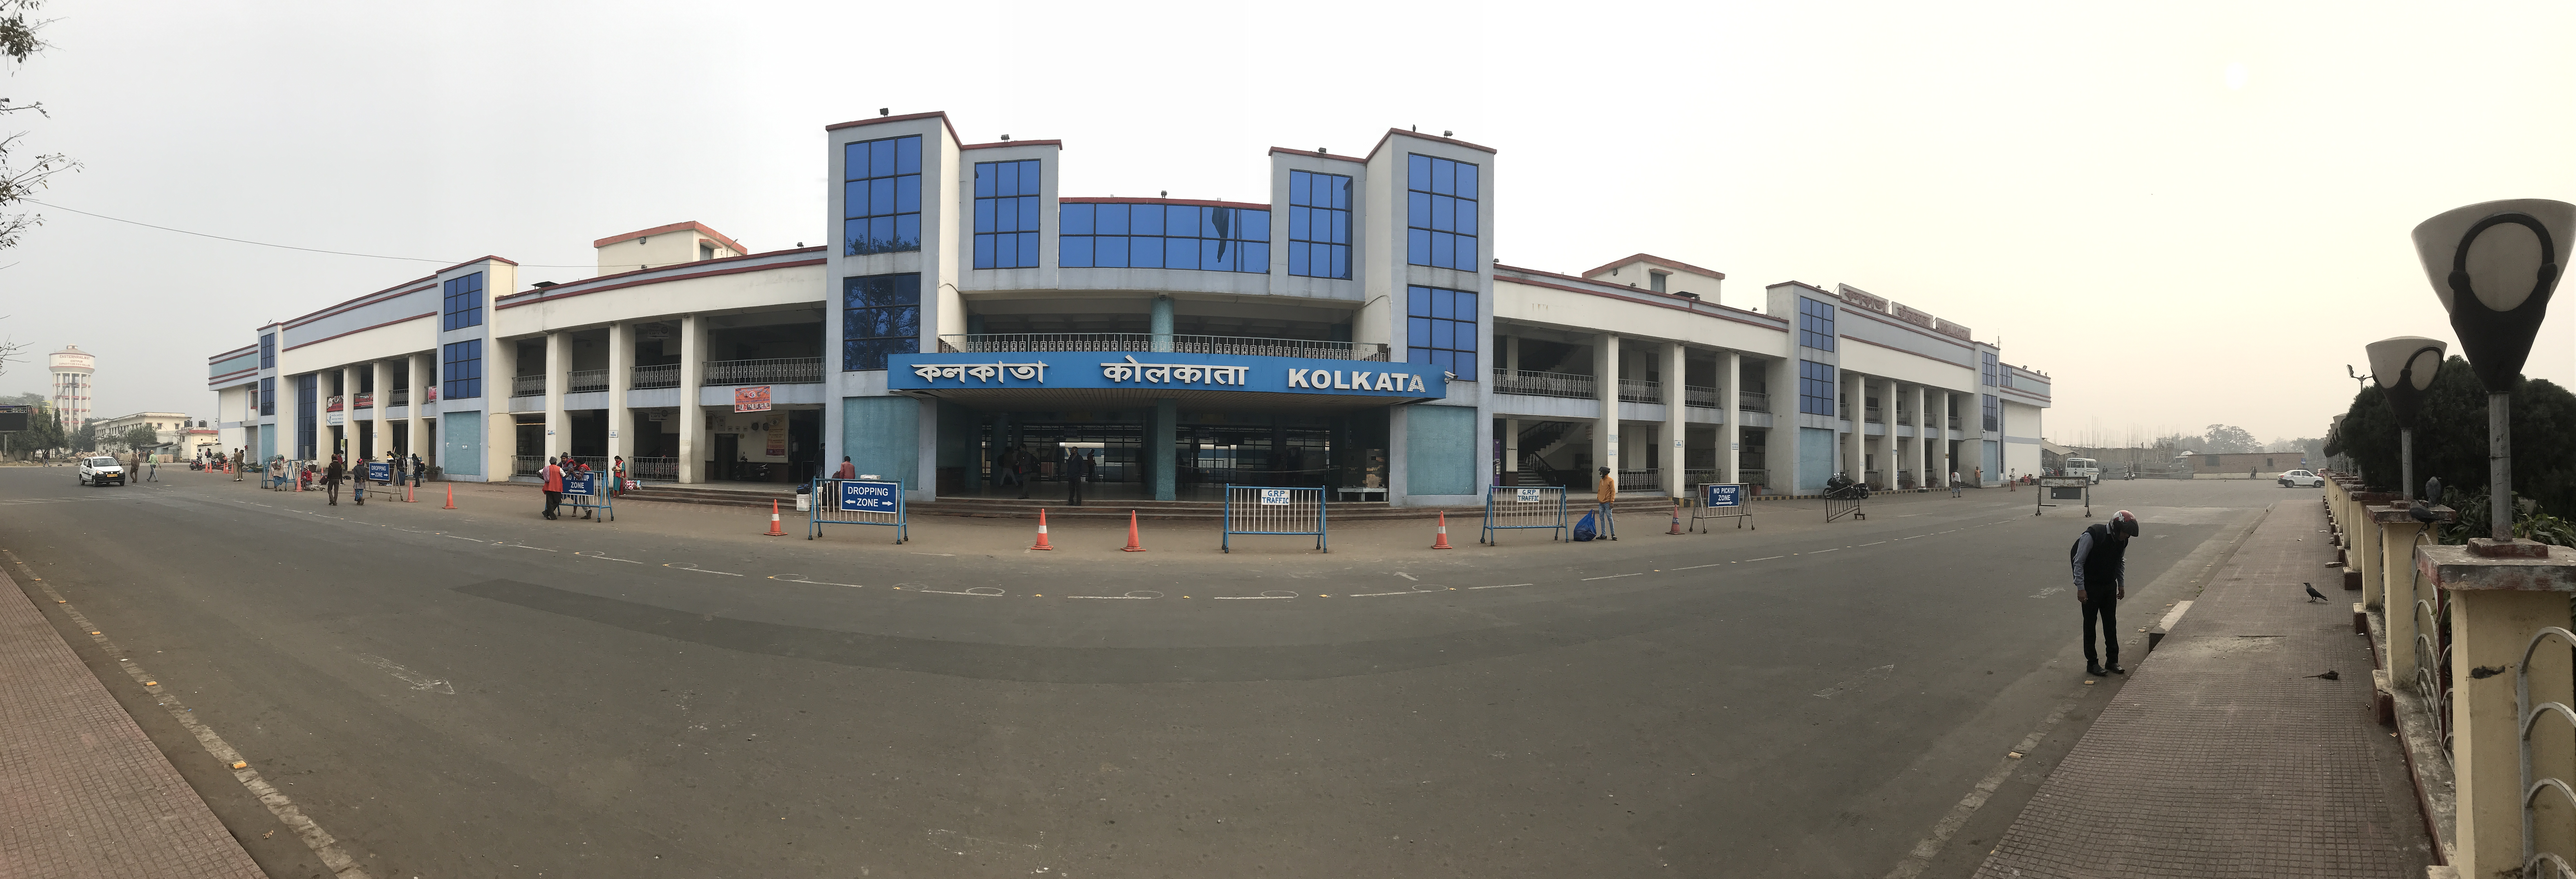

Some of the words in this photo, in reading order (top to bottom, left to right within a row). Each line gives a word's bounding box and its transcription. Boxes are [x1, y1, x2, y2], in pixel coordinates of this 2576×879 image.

[1841, 285, 1889, 317] কলকাডা
[1892, 304, 1934, 330] कोलकाता
[1934, 317, 1974, 344] KOLKATA
[910, 358, 1051, 387] কলকাতা
[1101, 350, 1251, 387] कोलकाता
[1286, 365, 1428, 394] KOLKATA
[735, 387, 747, 398] HAPPY
[753, 386, 764, 393] YEAR
[763, 388, 771, 396] 2021
[371, 464, 387, 472] DROPPING
[373, 470, 384, 478] ZONE
[856, 496, 879, 509] ZONE
[847, 486, 890, 496] DROPPING
[1261, 496, 1290, 505] TRAFFIC
[1266, 488, 1286, 498] G.R.P
[1518, 494, 1540, 503] TRAFFIC
[1522, 488, 1537, 496] G.R.P
[1712, 486, 1721, 495] NO
[1716, 493, 1731, 502] ZONE
[1720, 485, 1737, 495] PICKUP